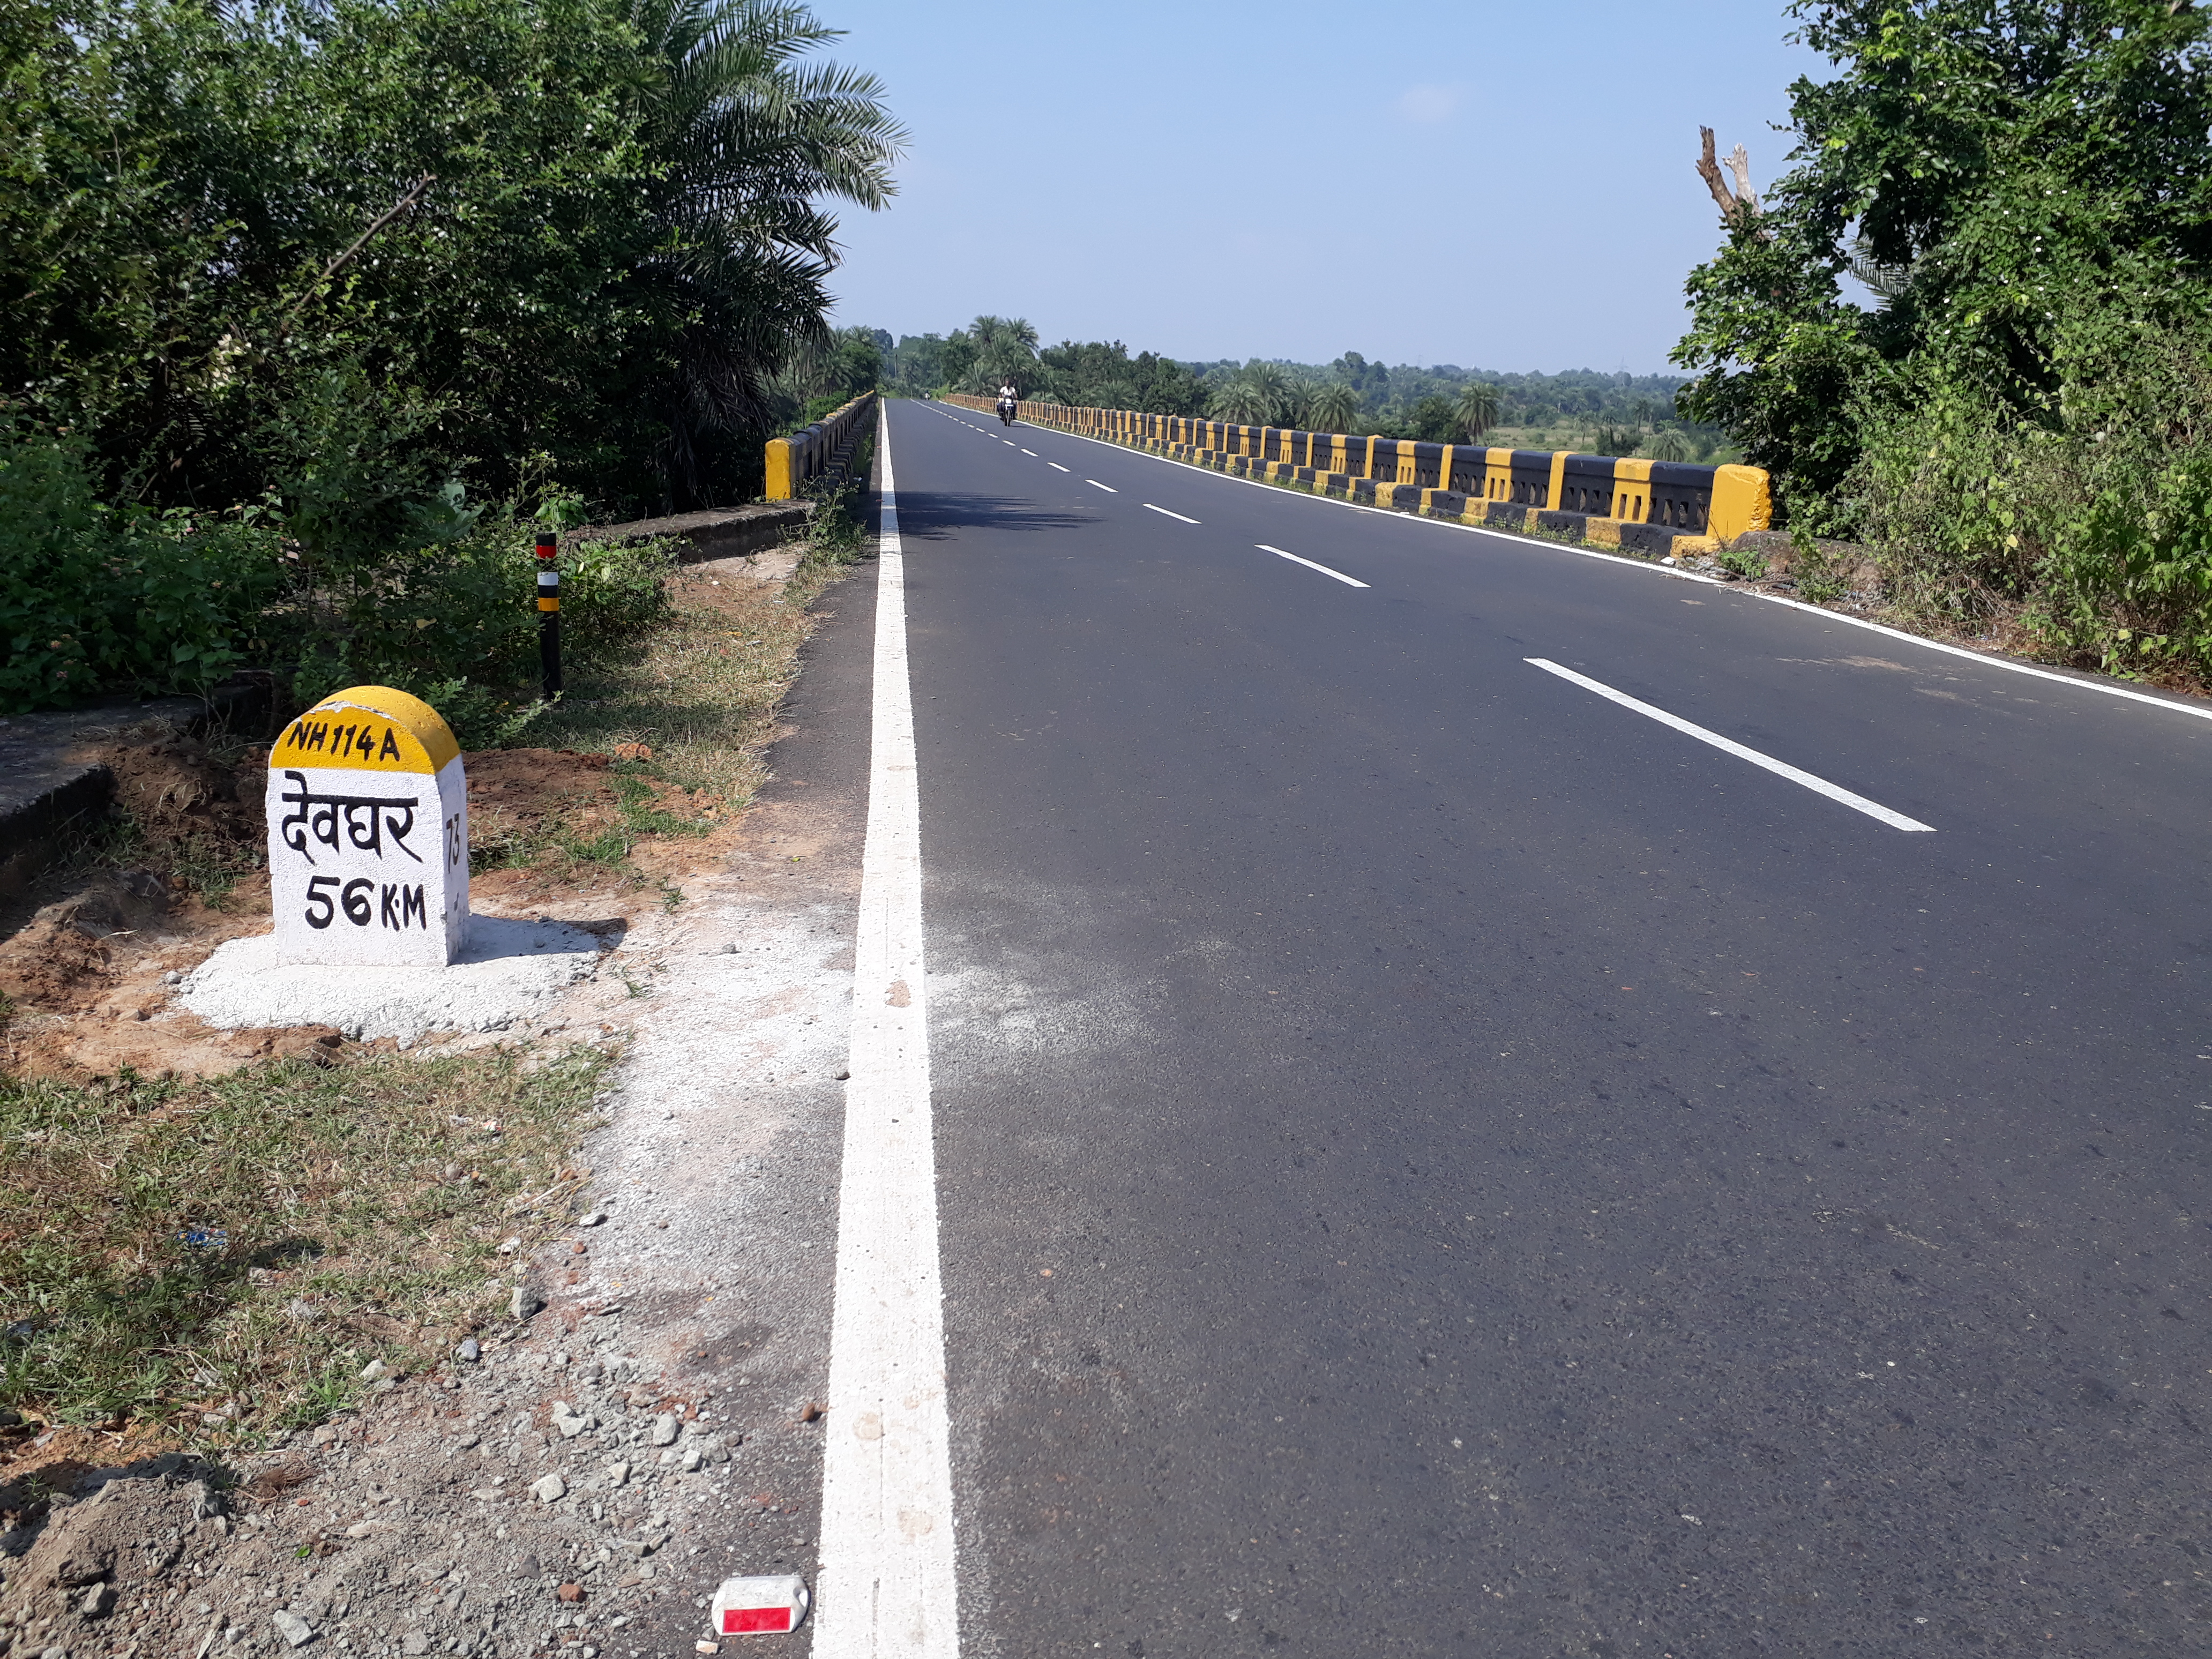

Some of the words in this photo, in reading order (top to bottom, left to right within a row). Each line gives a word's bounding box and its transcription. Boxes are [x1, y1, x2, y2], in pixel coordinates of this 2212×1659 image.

[283, 717, 401, 768] NH114A
[279, 767, 425, 868] देवघर
[444, 810, 464, 875] 73
[303, 871, 430, 935] 56KM